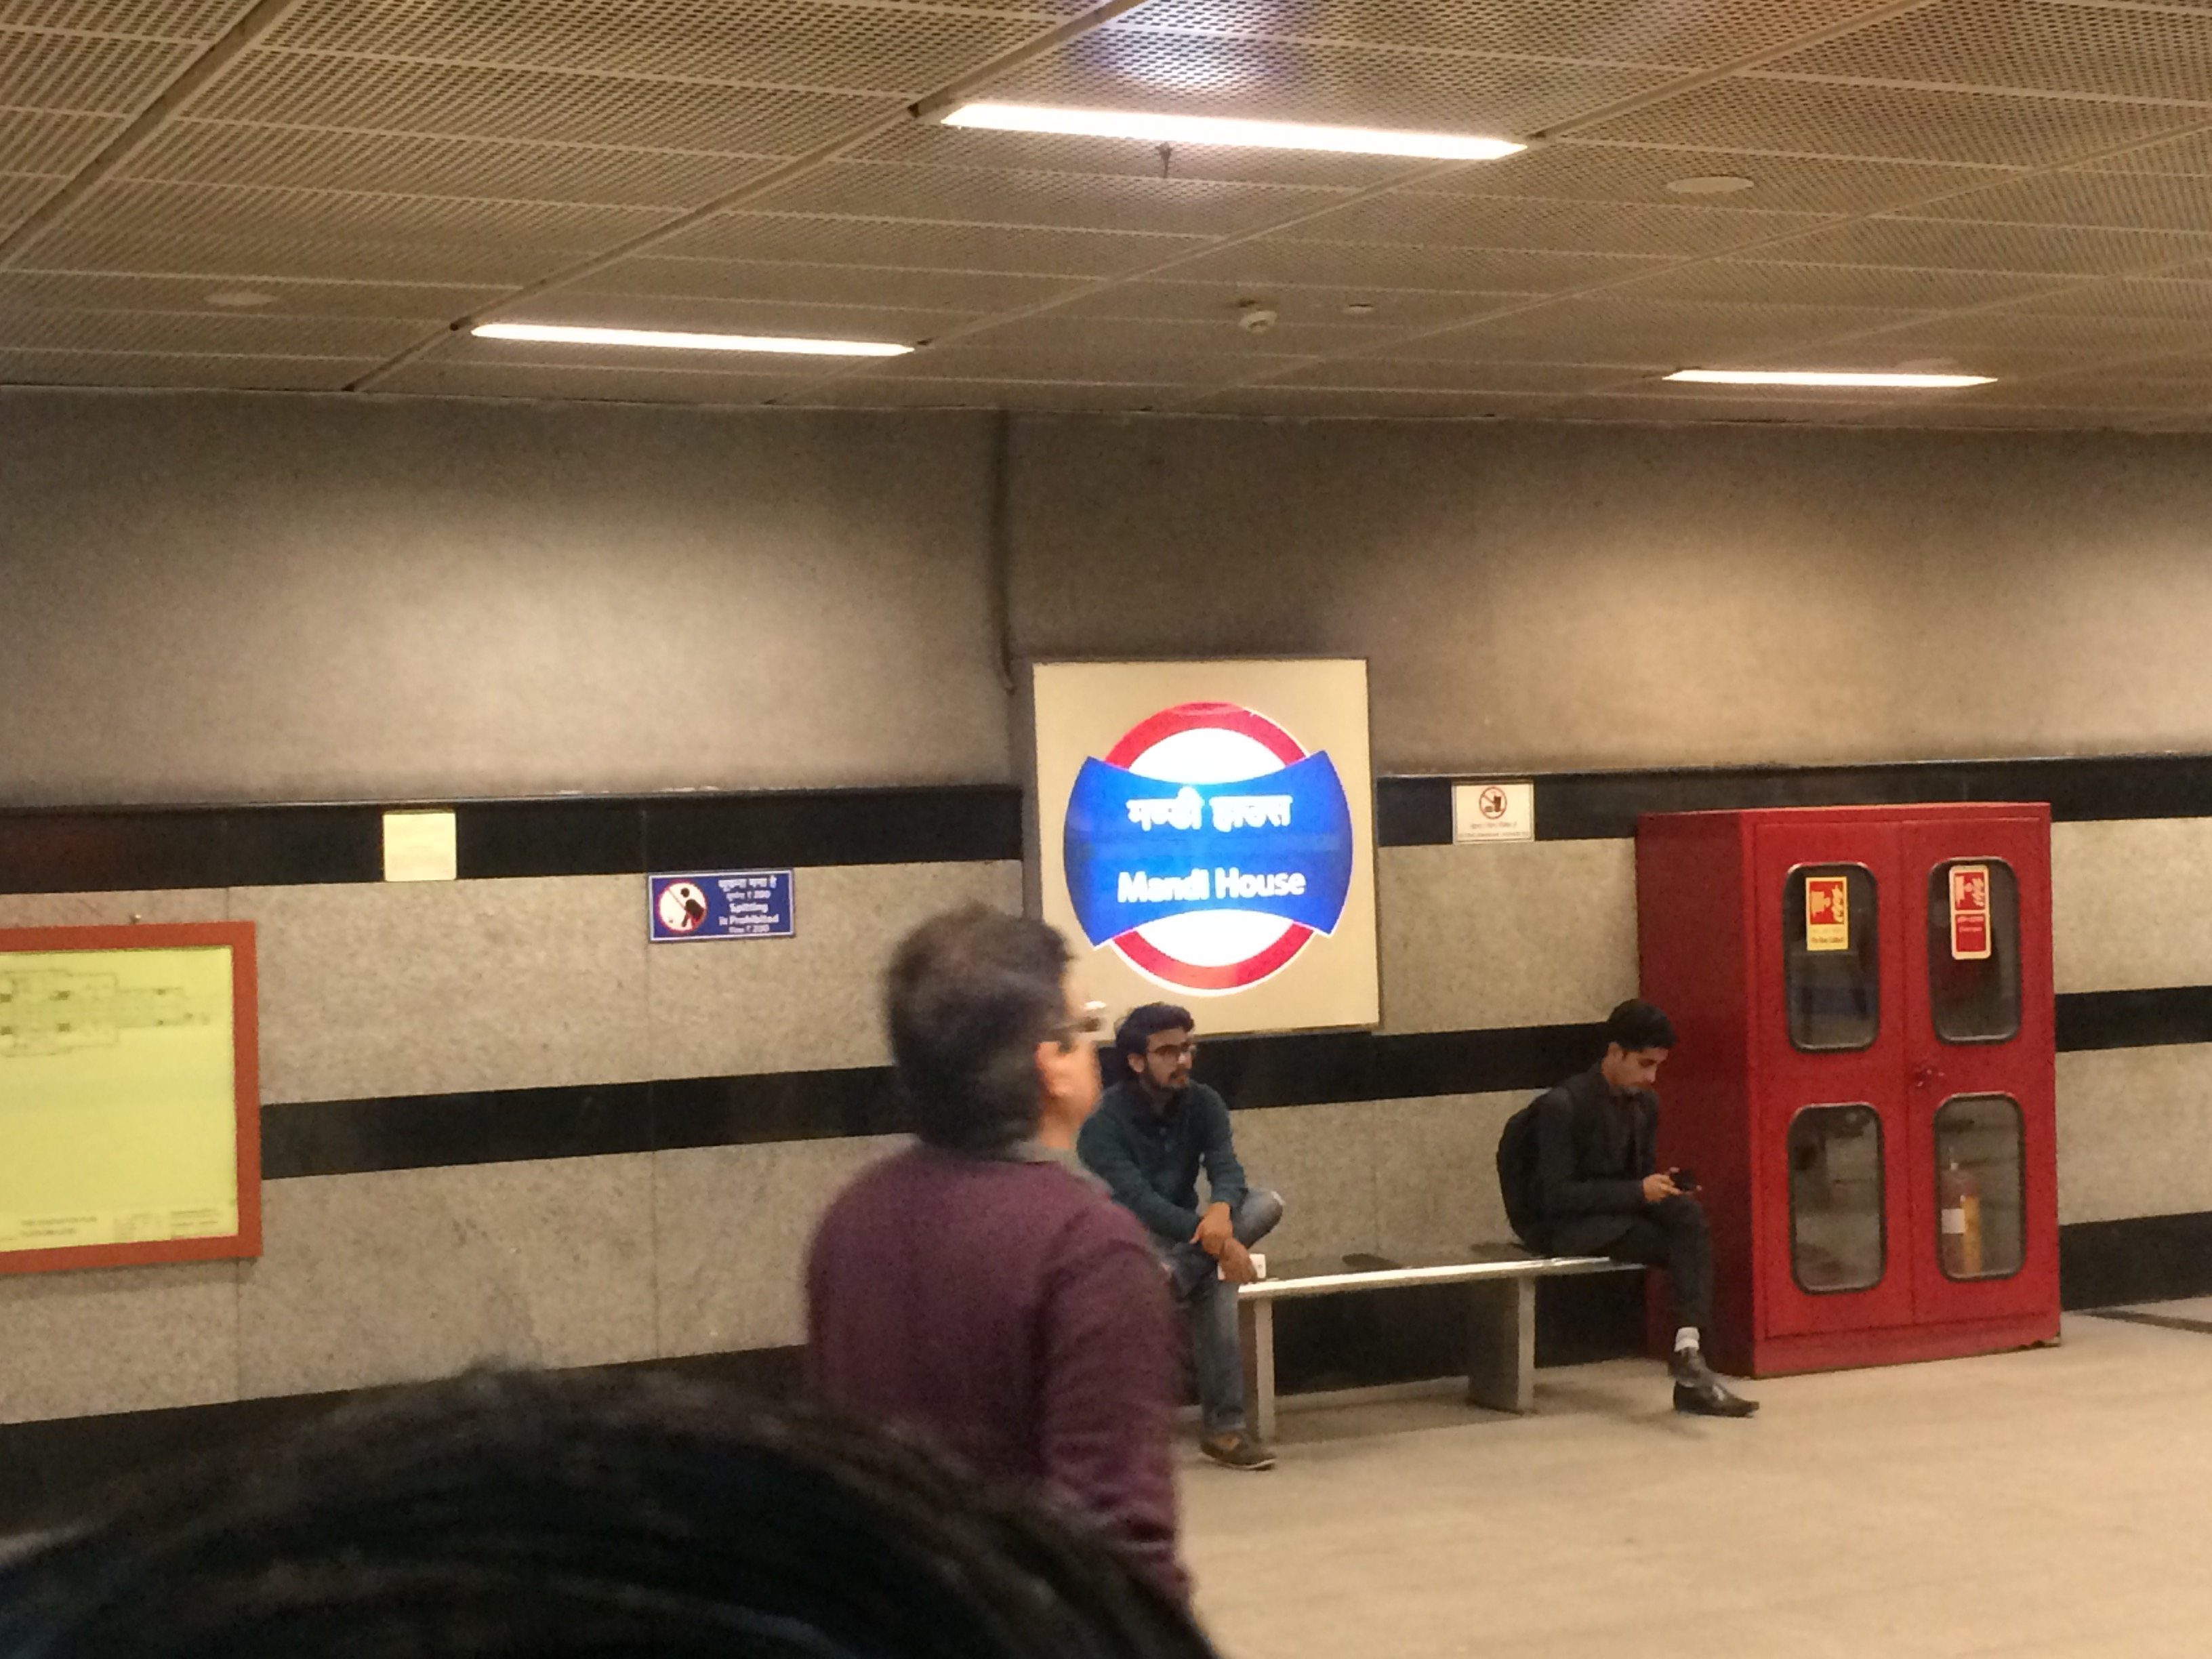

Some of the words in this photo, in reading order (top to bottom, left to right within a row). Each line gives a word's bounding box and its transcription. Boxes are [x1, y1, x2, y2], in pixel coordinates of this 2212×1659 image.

[1123, 783, 1207, 834] मण्डी
[1210, 792, 1296, 835] हाउस
[1115, 868, 1211, 904] Mandi
[1215, 863, 1307, 902] House